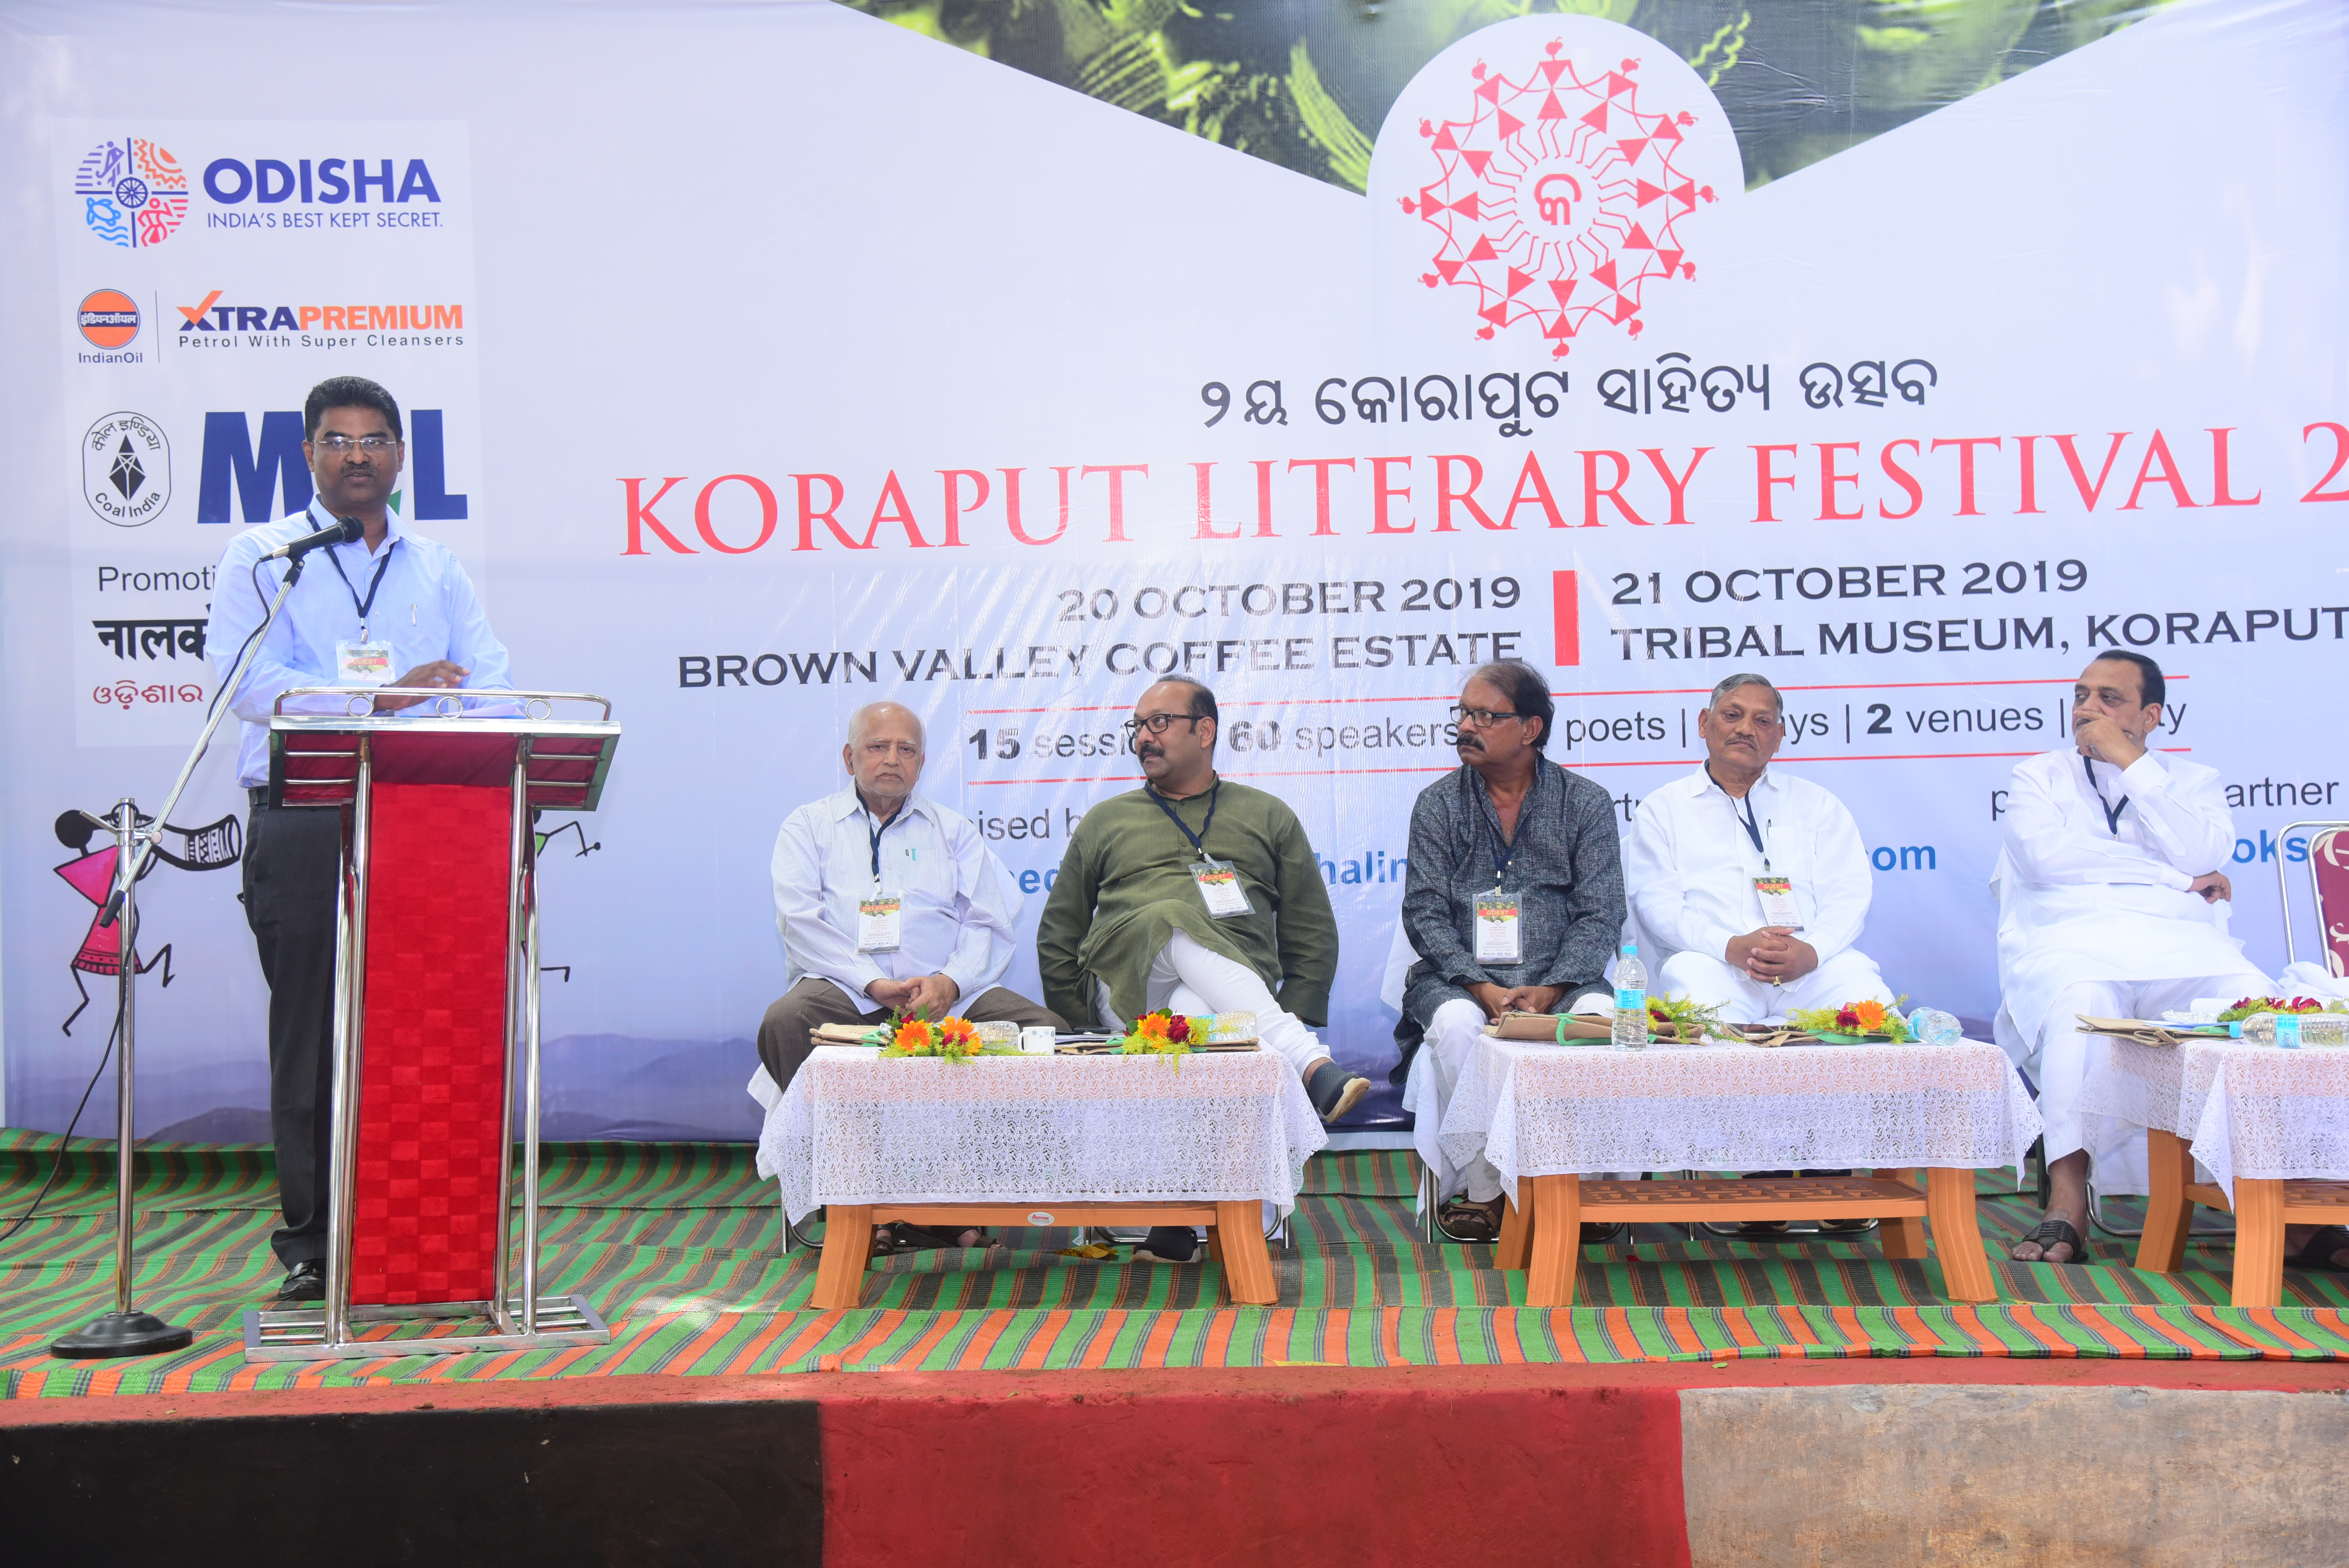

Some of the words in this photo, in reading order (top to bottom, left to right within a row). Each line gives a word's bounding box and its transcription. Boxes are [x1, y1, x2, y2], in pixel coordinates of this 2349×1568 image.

[198, 155, 444, 207] ODISHA
[203, 209, 280, 232] INDIA
[280, 207, 324, 231] BEST
[328, 209, 372, 228] KEPT
[374, 210, 444, 231] SECRET.
[78, 308, 139, 327] इंडियनऑयल
[78, 347, 145, 366] IndianOil
[176, 333, 239, 349] Petrol
[247, 330, 292, 349] With
[175, 286, 464, 334] XTRAPREMIUM
[298, 331, 358, 351] Super
[366, 332, 465, 349] Cleansers
[1187, 371, 1294, 443] ୨ୟ
[1306, 366, 1574, 444] କୋରାପୁଟ
[1592, 347, 1773, 419] ସାହିତ୍ୟ
[1786, 352, 1943, 420] ଉତ୍ସବ
[87, 419, 121, 454] कोल
[117, 412, 164, 452] इण्डिया
[93, 488, 127, 520] Coal
[128, 488, 163, 521] India
[612, 460, 1155, 563] KORAPUT
[1187, 443, 1716, 543] LITERARY
[1743, 423, 2269, 527] FESTIVAL
[677, 650, 882, 690] BROWN
[891, 643, 1090, 685] VALLEY
[1049, 577, 1122, 631] 20
[1101, 633, 1317, 680] COFFEE
[1130, 577, 1388, 621] OCTOBER
[1330, 623, 1528, 675] ESTATE
[1394, 568, 1527, 621] 2019
[1602, 560, 1665, 616] 21
[1607, 618, 1809, 663] TRIBAL
[1677, 559, 1950, 607] OCTOBER
[1815, 611, 2057, 658] MUSEUM
[1955, 552, 2095, 604] 2019
[2086, 601, 2346, 651] KORAPUT
[86, 675, 205, 714] ଓଡ଼ିଶାର
[964, 718, 1026, 763] 15
[1221, 715, 1289, 757] 60
[1291, 711, 1466, 761] speakers
[1562, 707, 1674, 756] poets
[1785, 703, 1835, 746] ys
[1907, 701, 2043, 739] venues
[1867, 837, 1940, 876] om